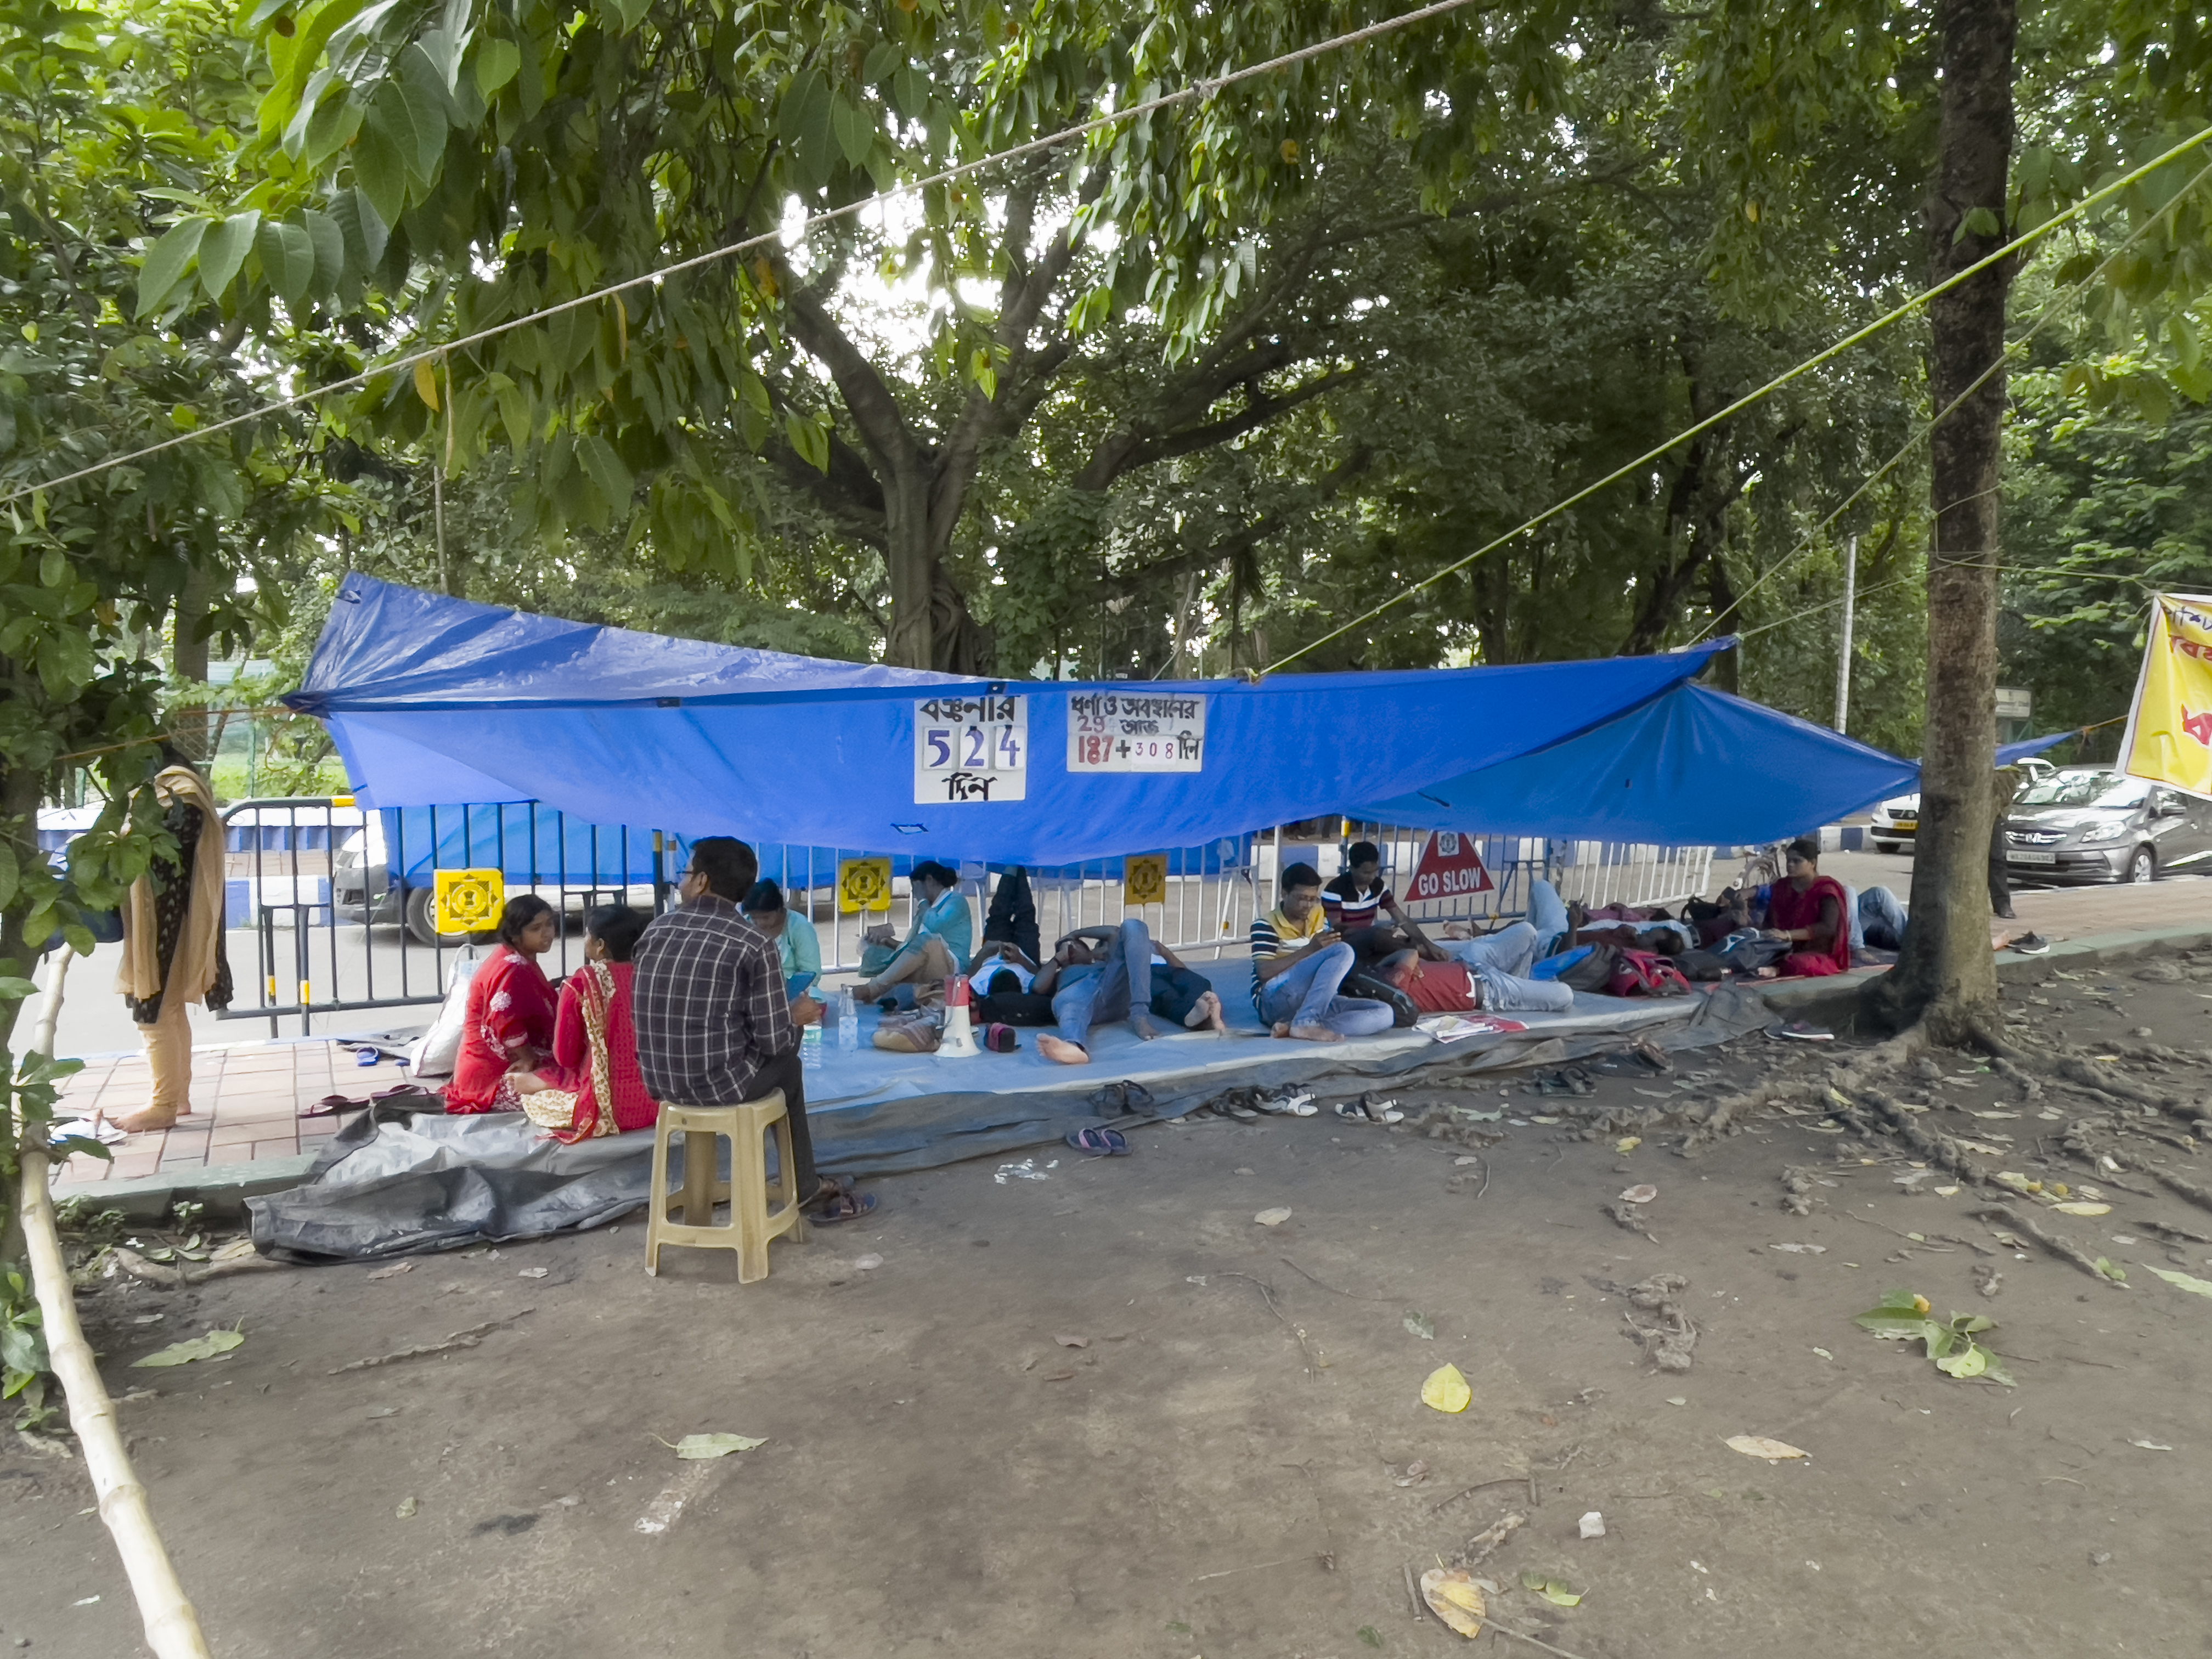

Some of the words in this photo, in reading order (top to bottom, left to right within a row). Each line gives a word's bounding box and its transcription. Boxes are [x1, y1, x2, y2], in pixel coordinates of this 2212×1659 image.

[914, 687, 1022, 728] বঞ্জনার
[1064, 686, 1121, 722] ধর্ণাও
[1118, 693, 1202, 723] অবস্থানের
[1112, 714, 1163, 741] আজ
[919, 719, 1030, 778] 524
[933, 765, 997, 804] দিন
[1415, 867, 1442, 900] GO
[1440, 863, 1485, 898] SLOW